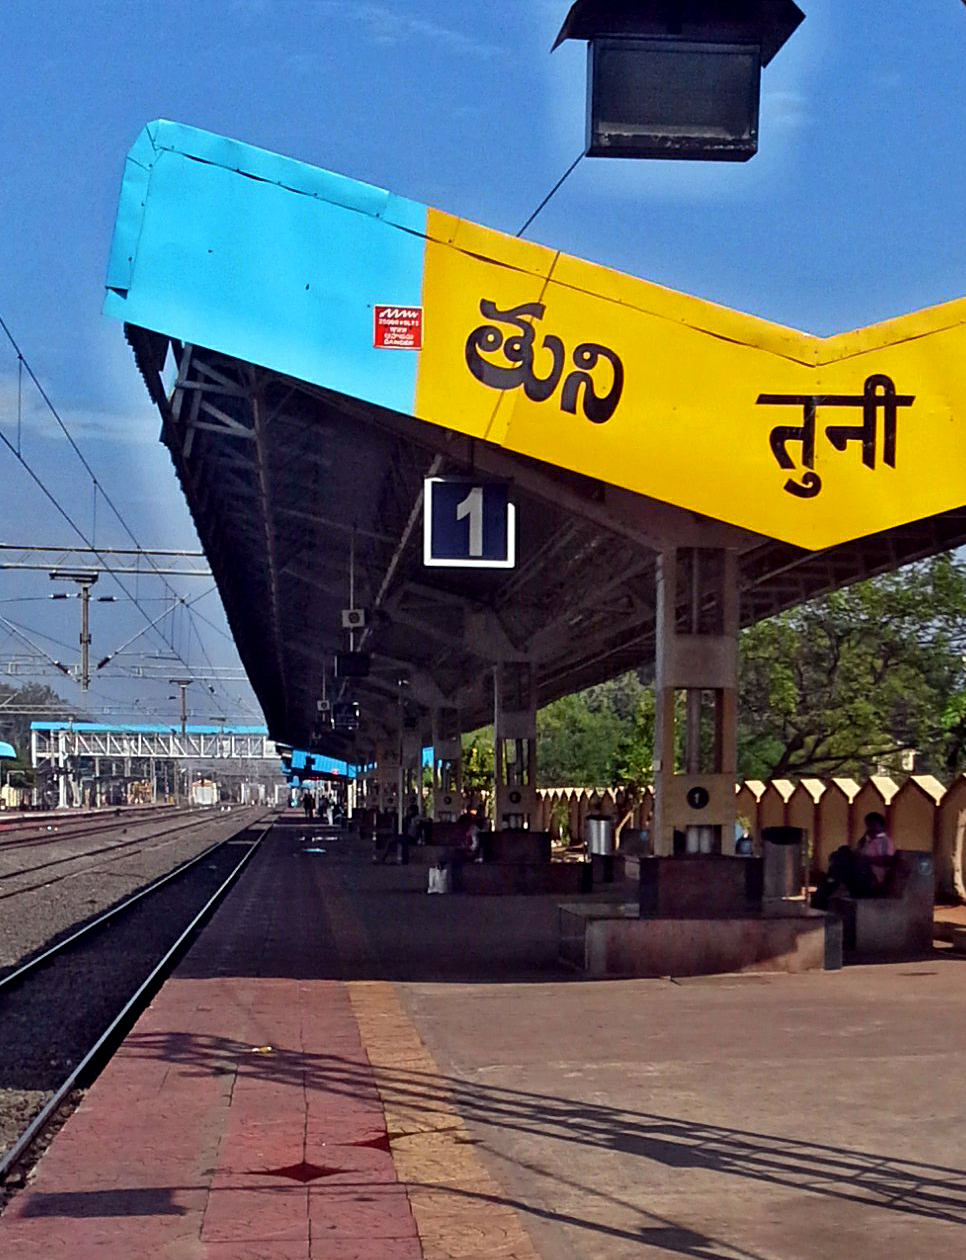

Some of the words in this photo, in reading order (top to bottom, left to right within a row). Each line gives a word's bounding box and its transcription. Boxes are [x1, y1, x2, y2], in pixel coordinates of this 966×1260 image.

[457, 295, 631, 429] తుని
[758, 366, 922, 503] तुनी